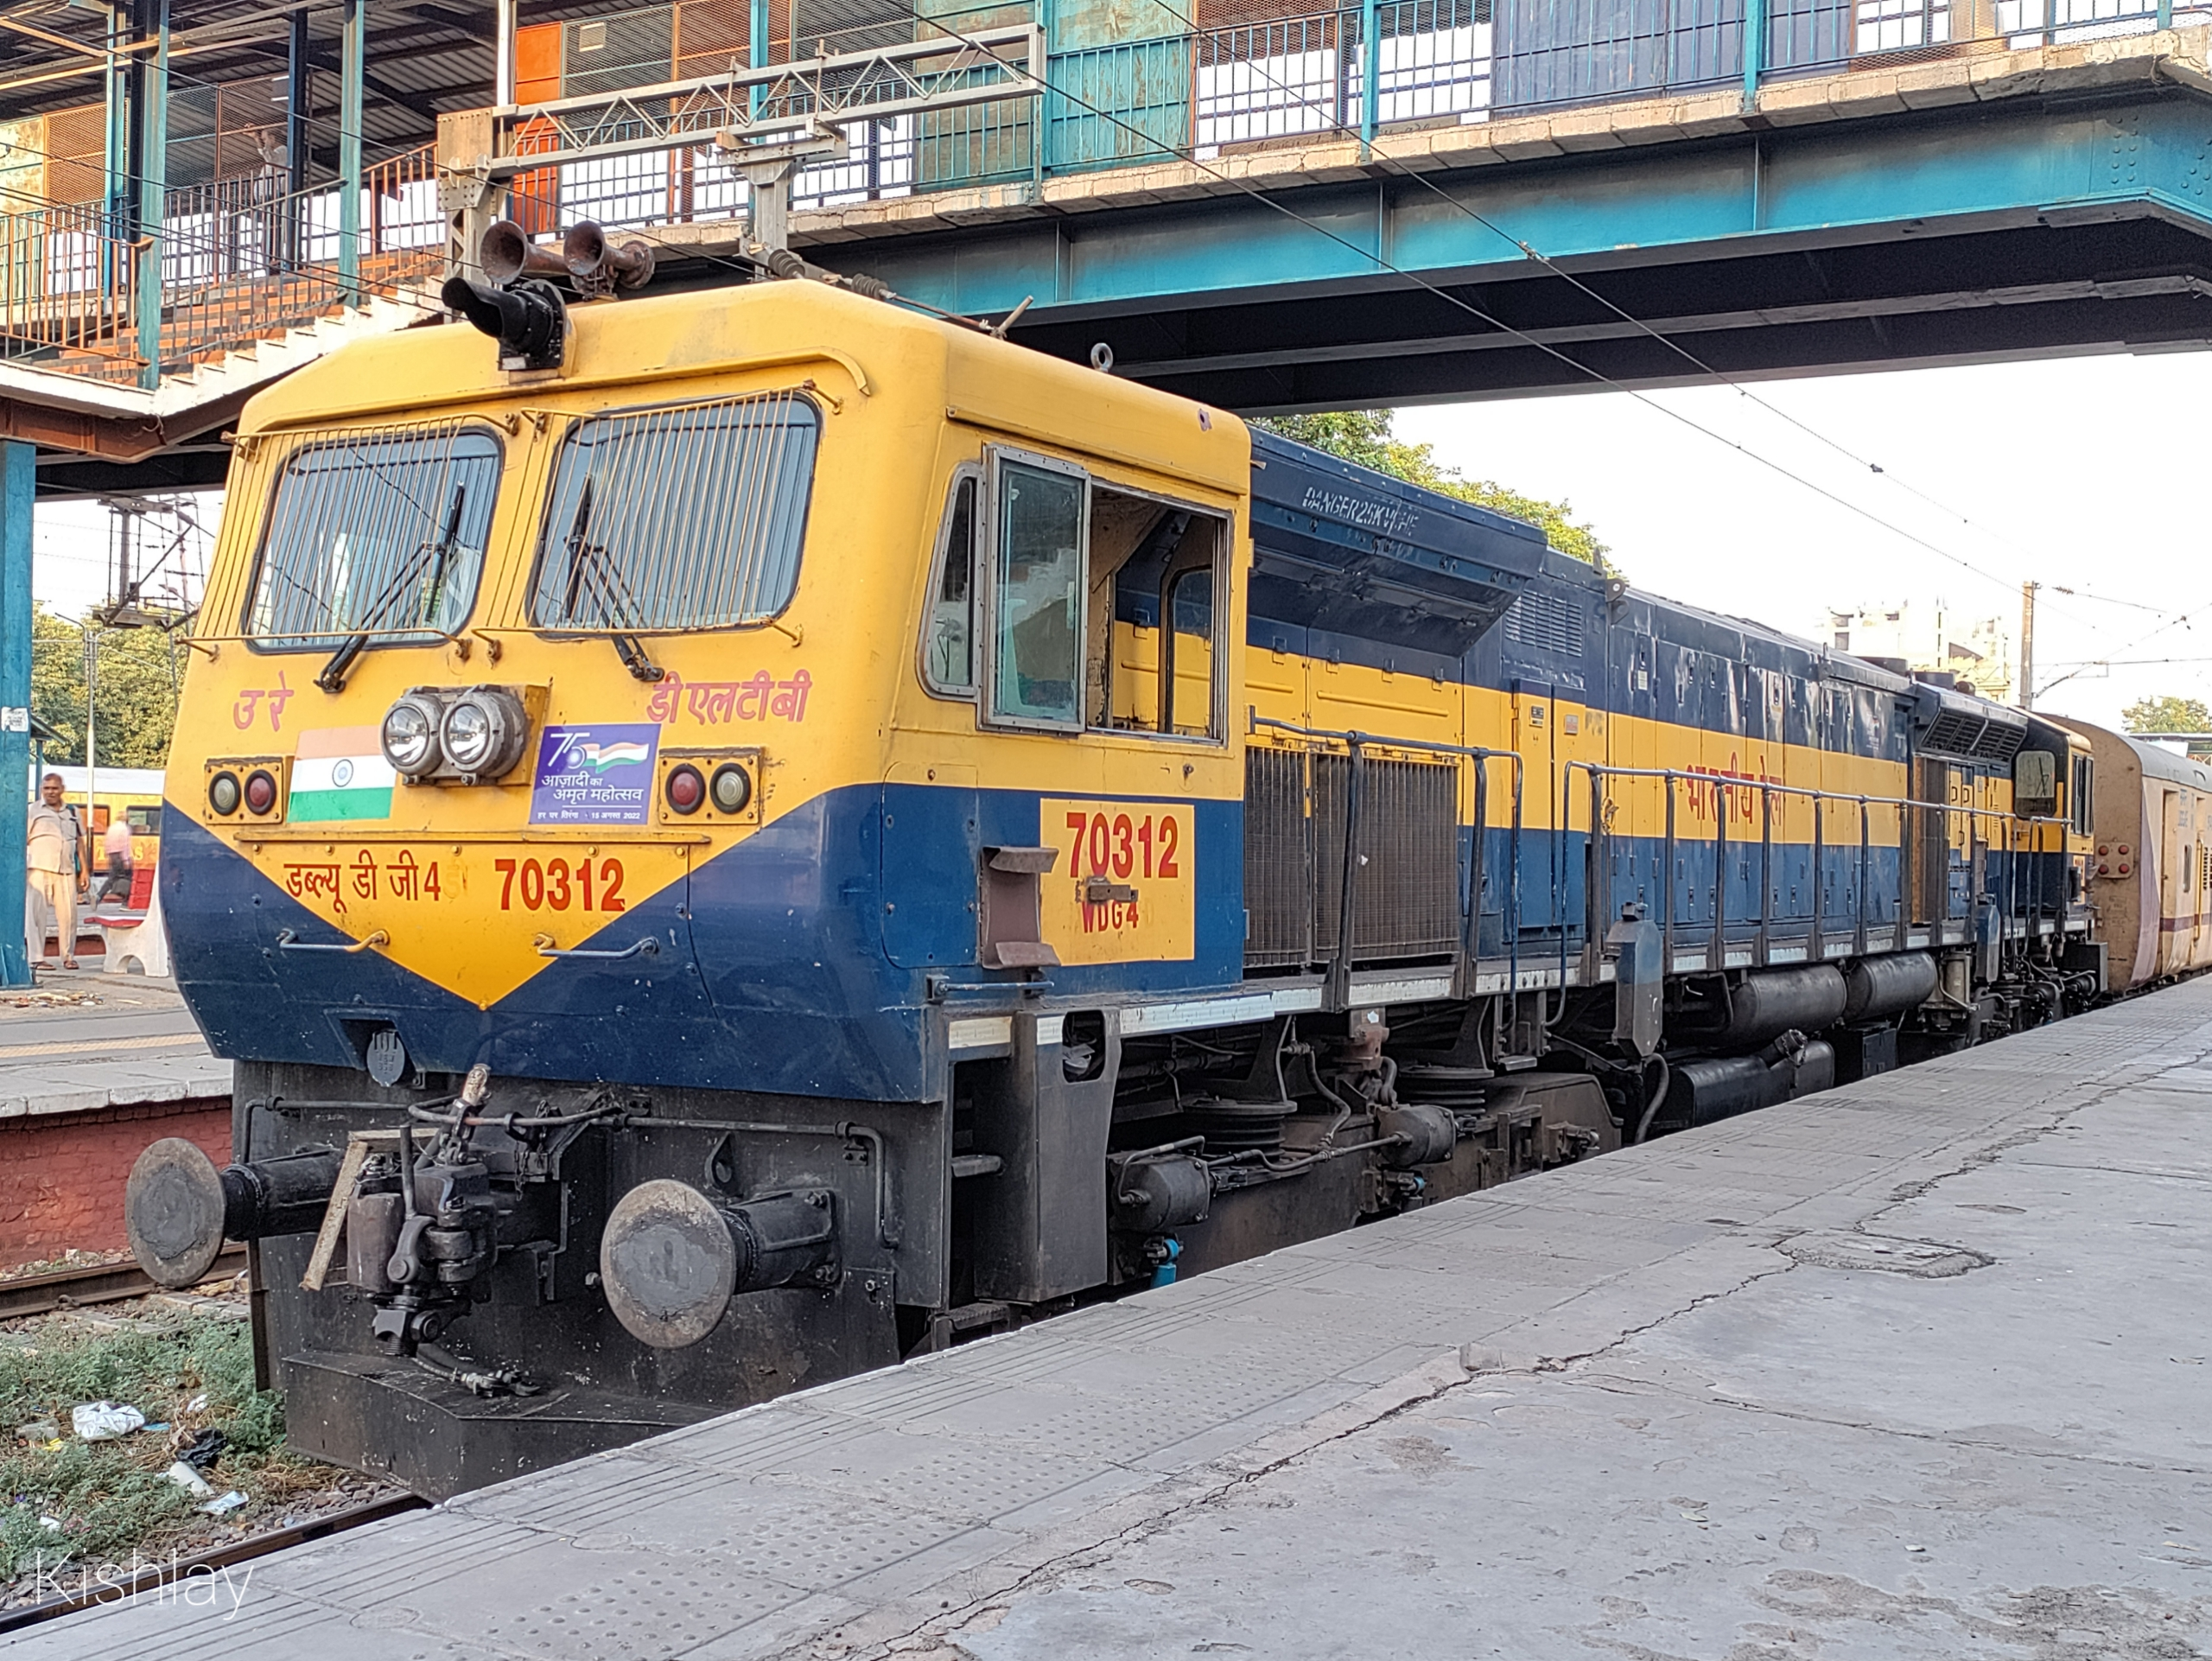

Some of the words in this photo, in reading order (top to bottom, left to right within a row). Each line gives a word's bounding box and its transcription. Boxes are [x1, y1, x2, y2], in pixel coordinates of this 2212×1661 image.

[1295, 481, 1397, 538] DANGER25KV
[226, 665, 294, 741] उरे
[645, 662, 817, 732] डीएलटीबी
[537, 767, 604, 793] आज़ादीका
[550, 783, 591, 812] अमृत
[588, 778, 642, 808] महोत्सव
[1680, 744, 1758, 824] भारतीय
[1750, 746, 1791, 830] ल
[277, 859, 351, 920] डब्ल्यू
[345, 838, 380, 905] डी
[379, 849, 448, 907] जी 4
[486, 849, 633, 919] 70312
[1055, 801, 1193, 889] 70312